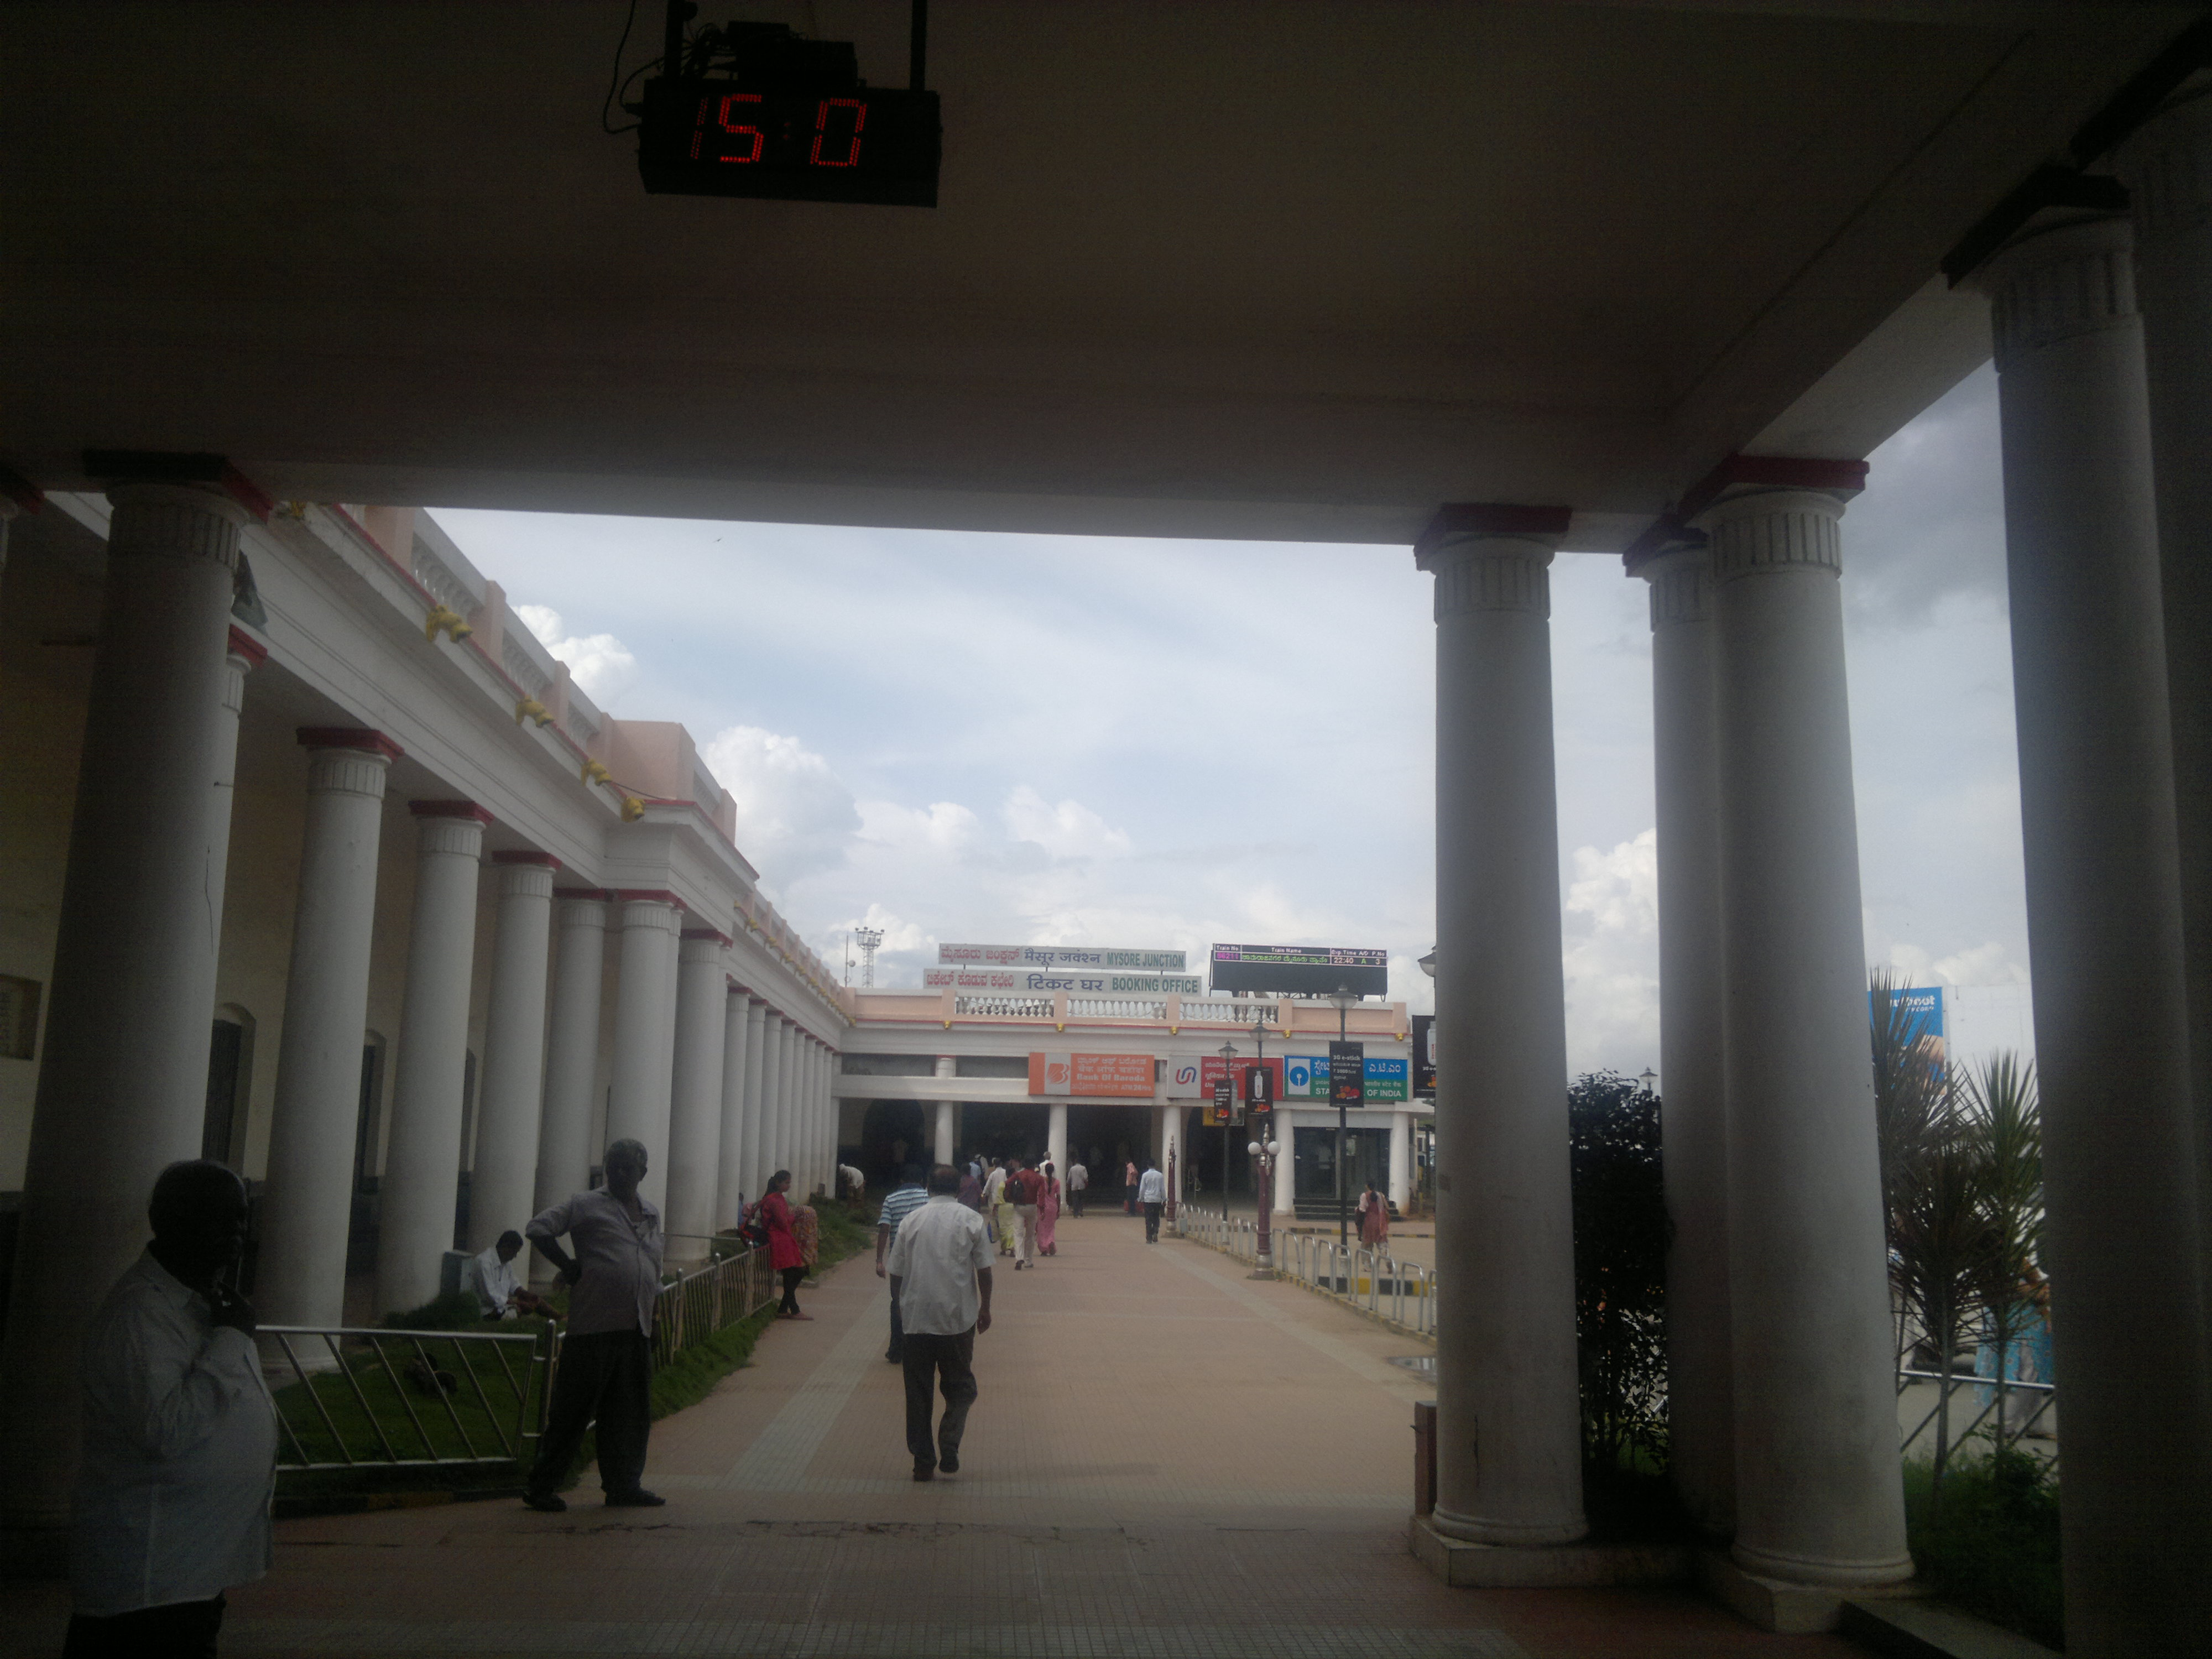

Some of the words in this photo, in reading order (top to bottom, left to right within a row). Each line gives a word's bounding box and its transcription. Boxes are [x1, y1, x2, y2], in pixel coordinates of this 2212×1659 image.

[680, 80, 884, 179] 15:0
[938, 940, 984, 964] ಮೈಸೂರು
[983, 945, 1022, 967] ಜಂಕ್ಷನ್
[1020, 943, 1057, 968] मैसूर
[1057, 948, 1103, 966] जंक्श्न
[1104, 949, 1142, 971] MYSORE
[1138, 952, 1186, 972] JUNCTION
[1238, 950, 1282, 964] ಚಾಮರಾಜನಗರ
[1269, 945, 1287, 955] Train
[924, 967, 957, 988] ಟಕೇಟ್
[954, 967, 990, 989] ಕೊಡುವ
[989, 969, 1016, 990] ಕಛೇರಿ
[1023, 971, 1076, 992] टिकट
[1079, 977, 1105, 994] घर
[1109, 975, 1162, 994] BOOKING
[1158, 974, 1201, 996] OFFICE
[1075, 1061, 1095, 1074] बैंक
[1072, 1068, 1100, 1083] Bank
[1094, 1062, 1118, 1077] आंफ़
[1099, 1072, 1113, 1083] OF
[1100, 1055, 1119, 1067] ಆಫ್
[1113, 1071, 1147, 1083] Baroda
[1114, 1052, 1150, 1067] ಬರೋಡ
[1118, 1063, 1147, 1078] बड़ौदा
[1333, 1052, 1363, 1063] 30e-stick
[1368, 1060, 1403, 1076] ಎ.ಟಿ.ಎಂ.
[1119, 1081, 1136, 1094] ATM
[1131, 1082, 1154, 1094] 24Hrs
[1364, 1087, 1380, 1100] OF
[1378, 1087, 1405, 1100] INDIA